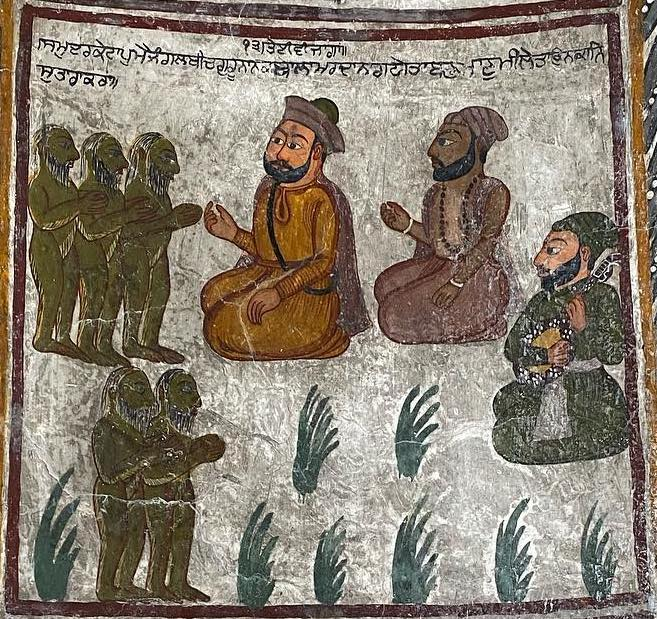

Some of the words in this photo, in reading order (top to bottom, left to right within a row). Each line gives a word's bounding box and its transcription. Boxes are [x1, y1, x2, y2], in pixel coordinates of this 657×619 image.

[32, 61, 121, 95] ਸੁਤਾਰਾਕਰਾ
[235, 38, 354, 59] ੧੩ਤੇਈਵਾਂਜਾਗਾ।।
[34, 34, 611, 88] ਸਮੁਏਰਕੇਟਾਪੁਮੈਜੰਗਲਬੀਚਗੁਰੂਨਾਨਕਬਾਲਾਮਰਦਾਨਗਯੋਤਾਬਣਮਾਵੁਮੀਲੇਤਾਕਿਨਕਾਨਿ